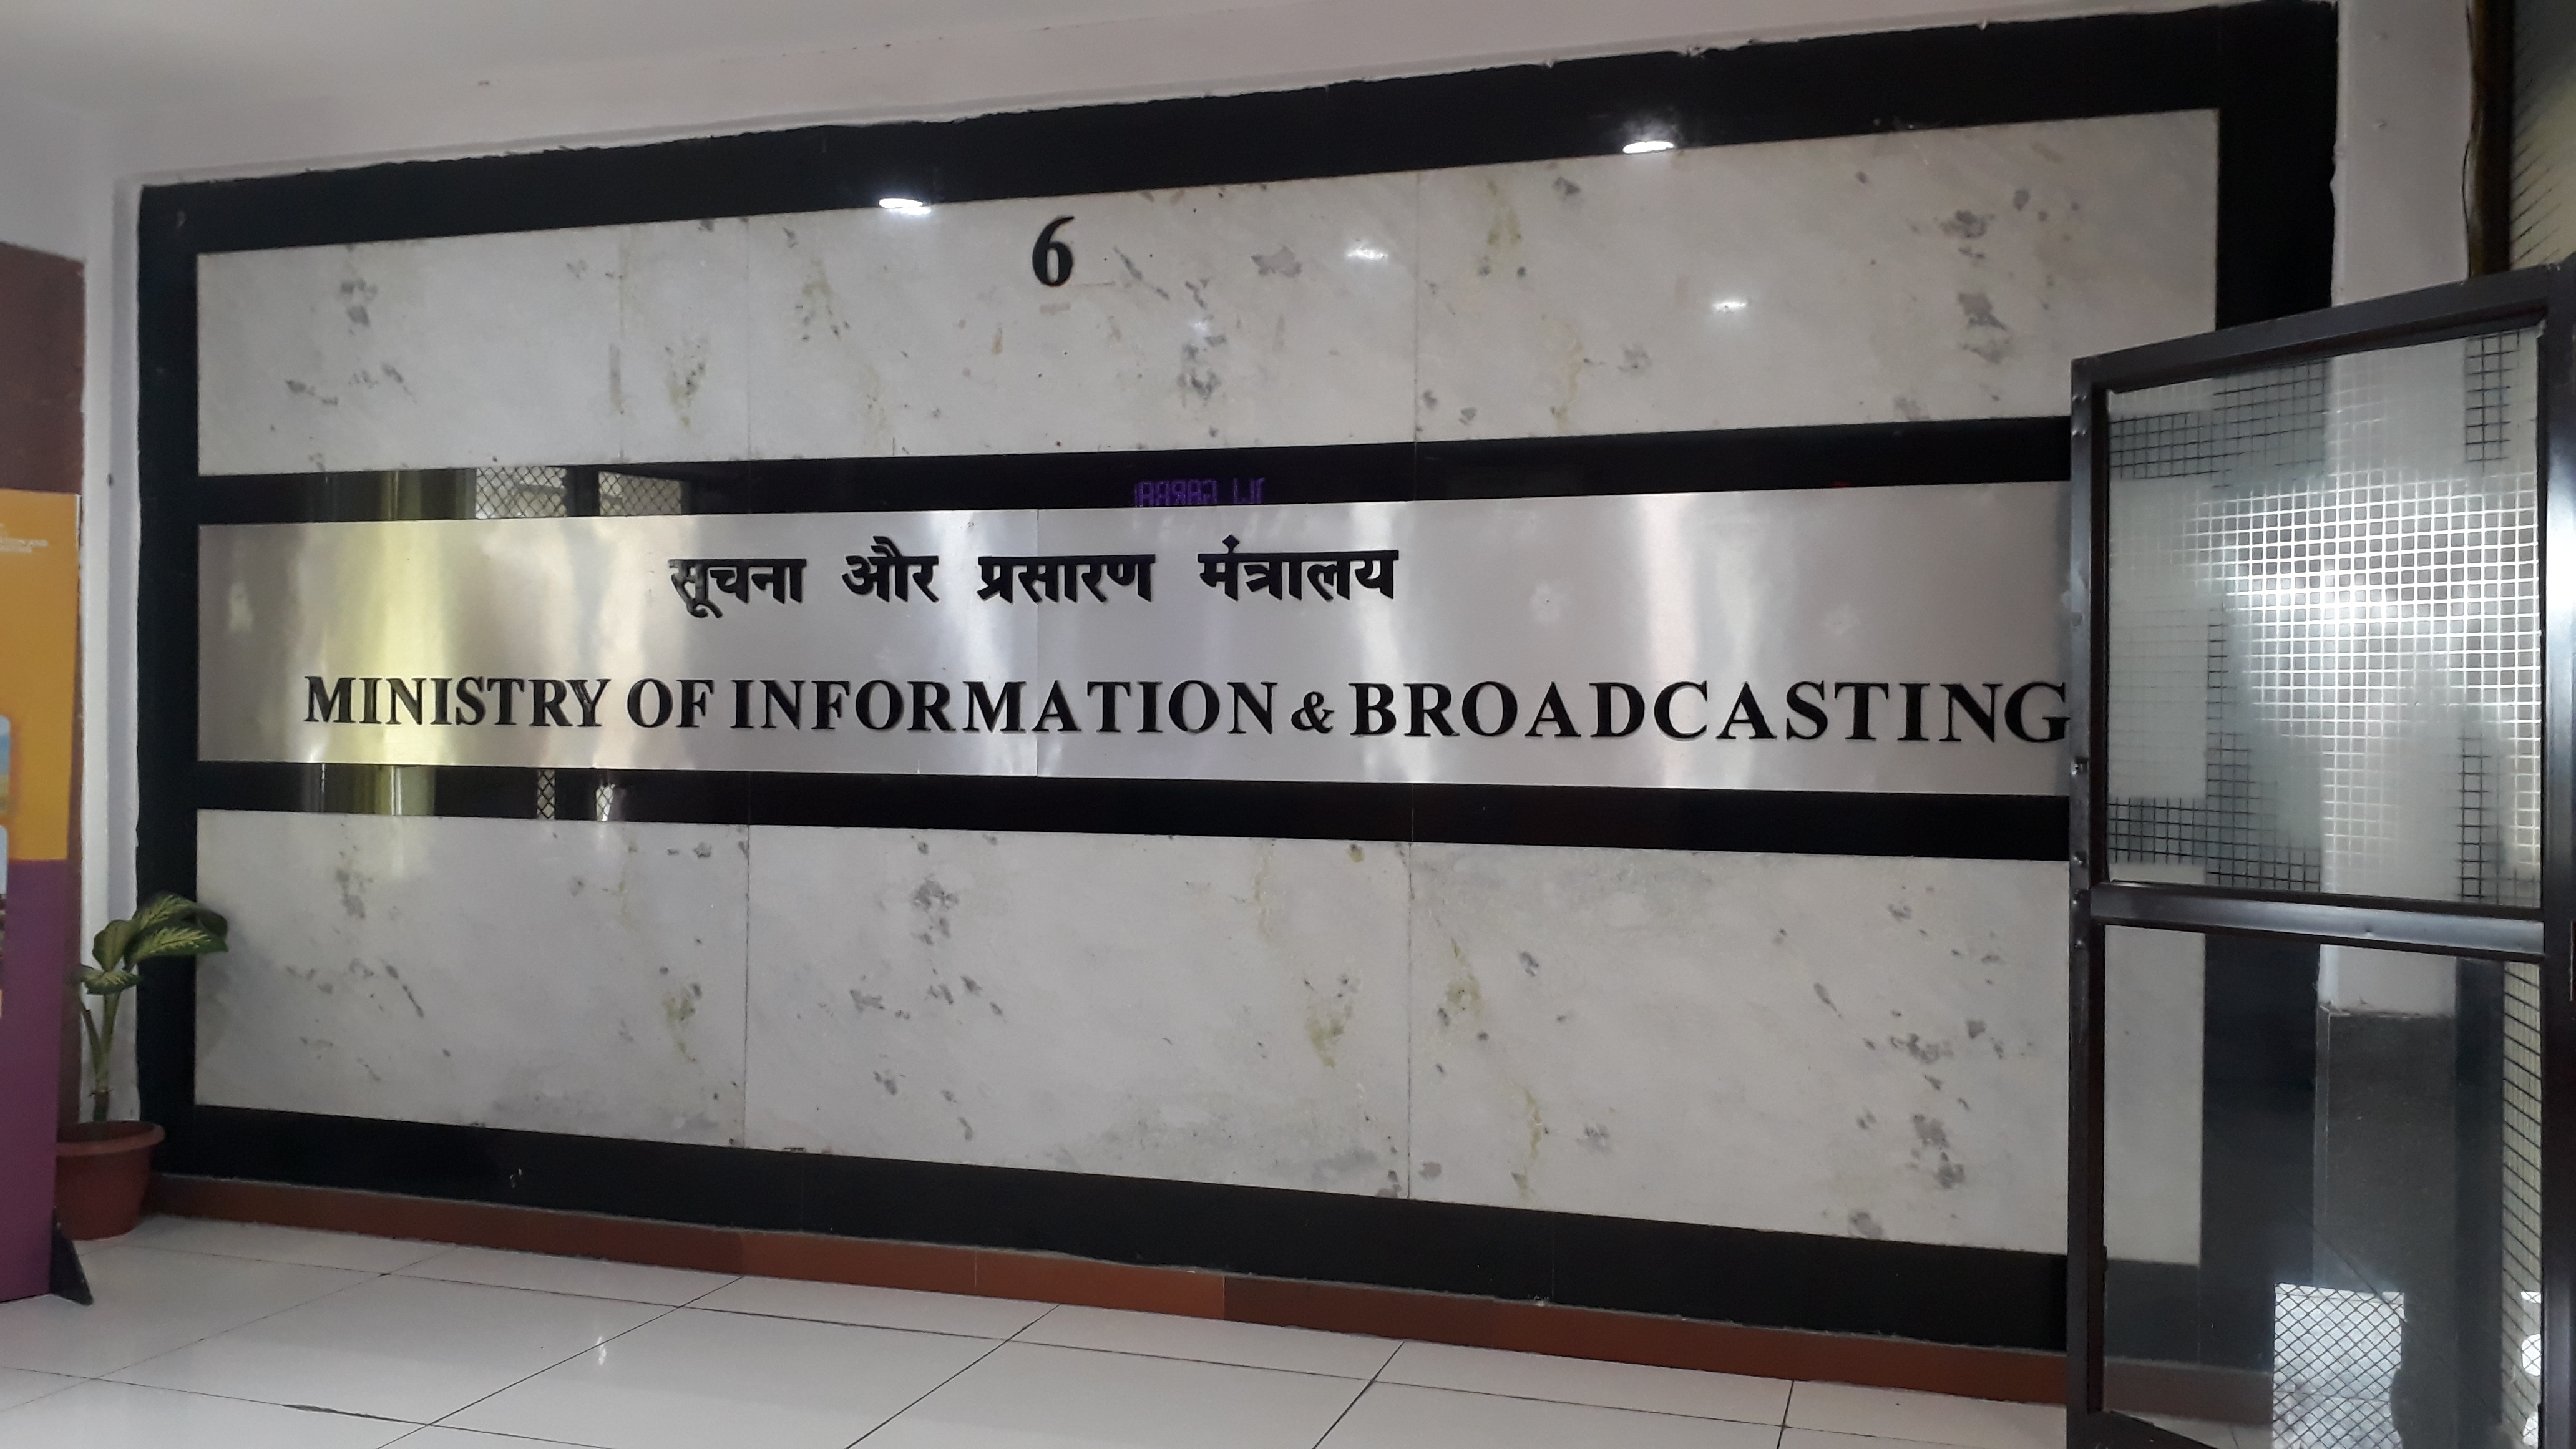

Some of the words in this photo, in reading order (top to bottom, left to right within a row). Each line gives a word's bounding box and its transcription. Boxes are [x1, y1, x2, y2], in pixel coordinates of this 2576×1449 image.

[1026, 210, 1086, 292] 6
[665, 556, 808, 625] सूचना
[841, 532, 943, 607] और
[975, 550, 1159, 607] प्रसारण
[1196, 528, 1402, 607] मंत्रालय
[298, 672, 612, 730] MINISTRY
[617, 671, 719, 738] OF
[722, 675, 1279, 736] INFORMATION
[1286, 687, 1340, 736] &
[1345, 675, 2072, 745] BROADCASTING